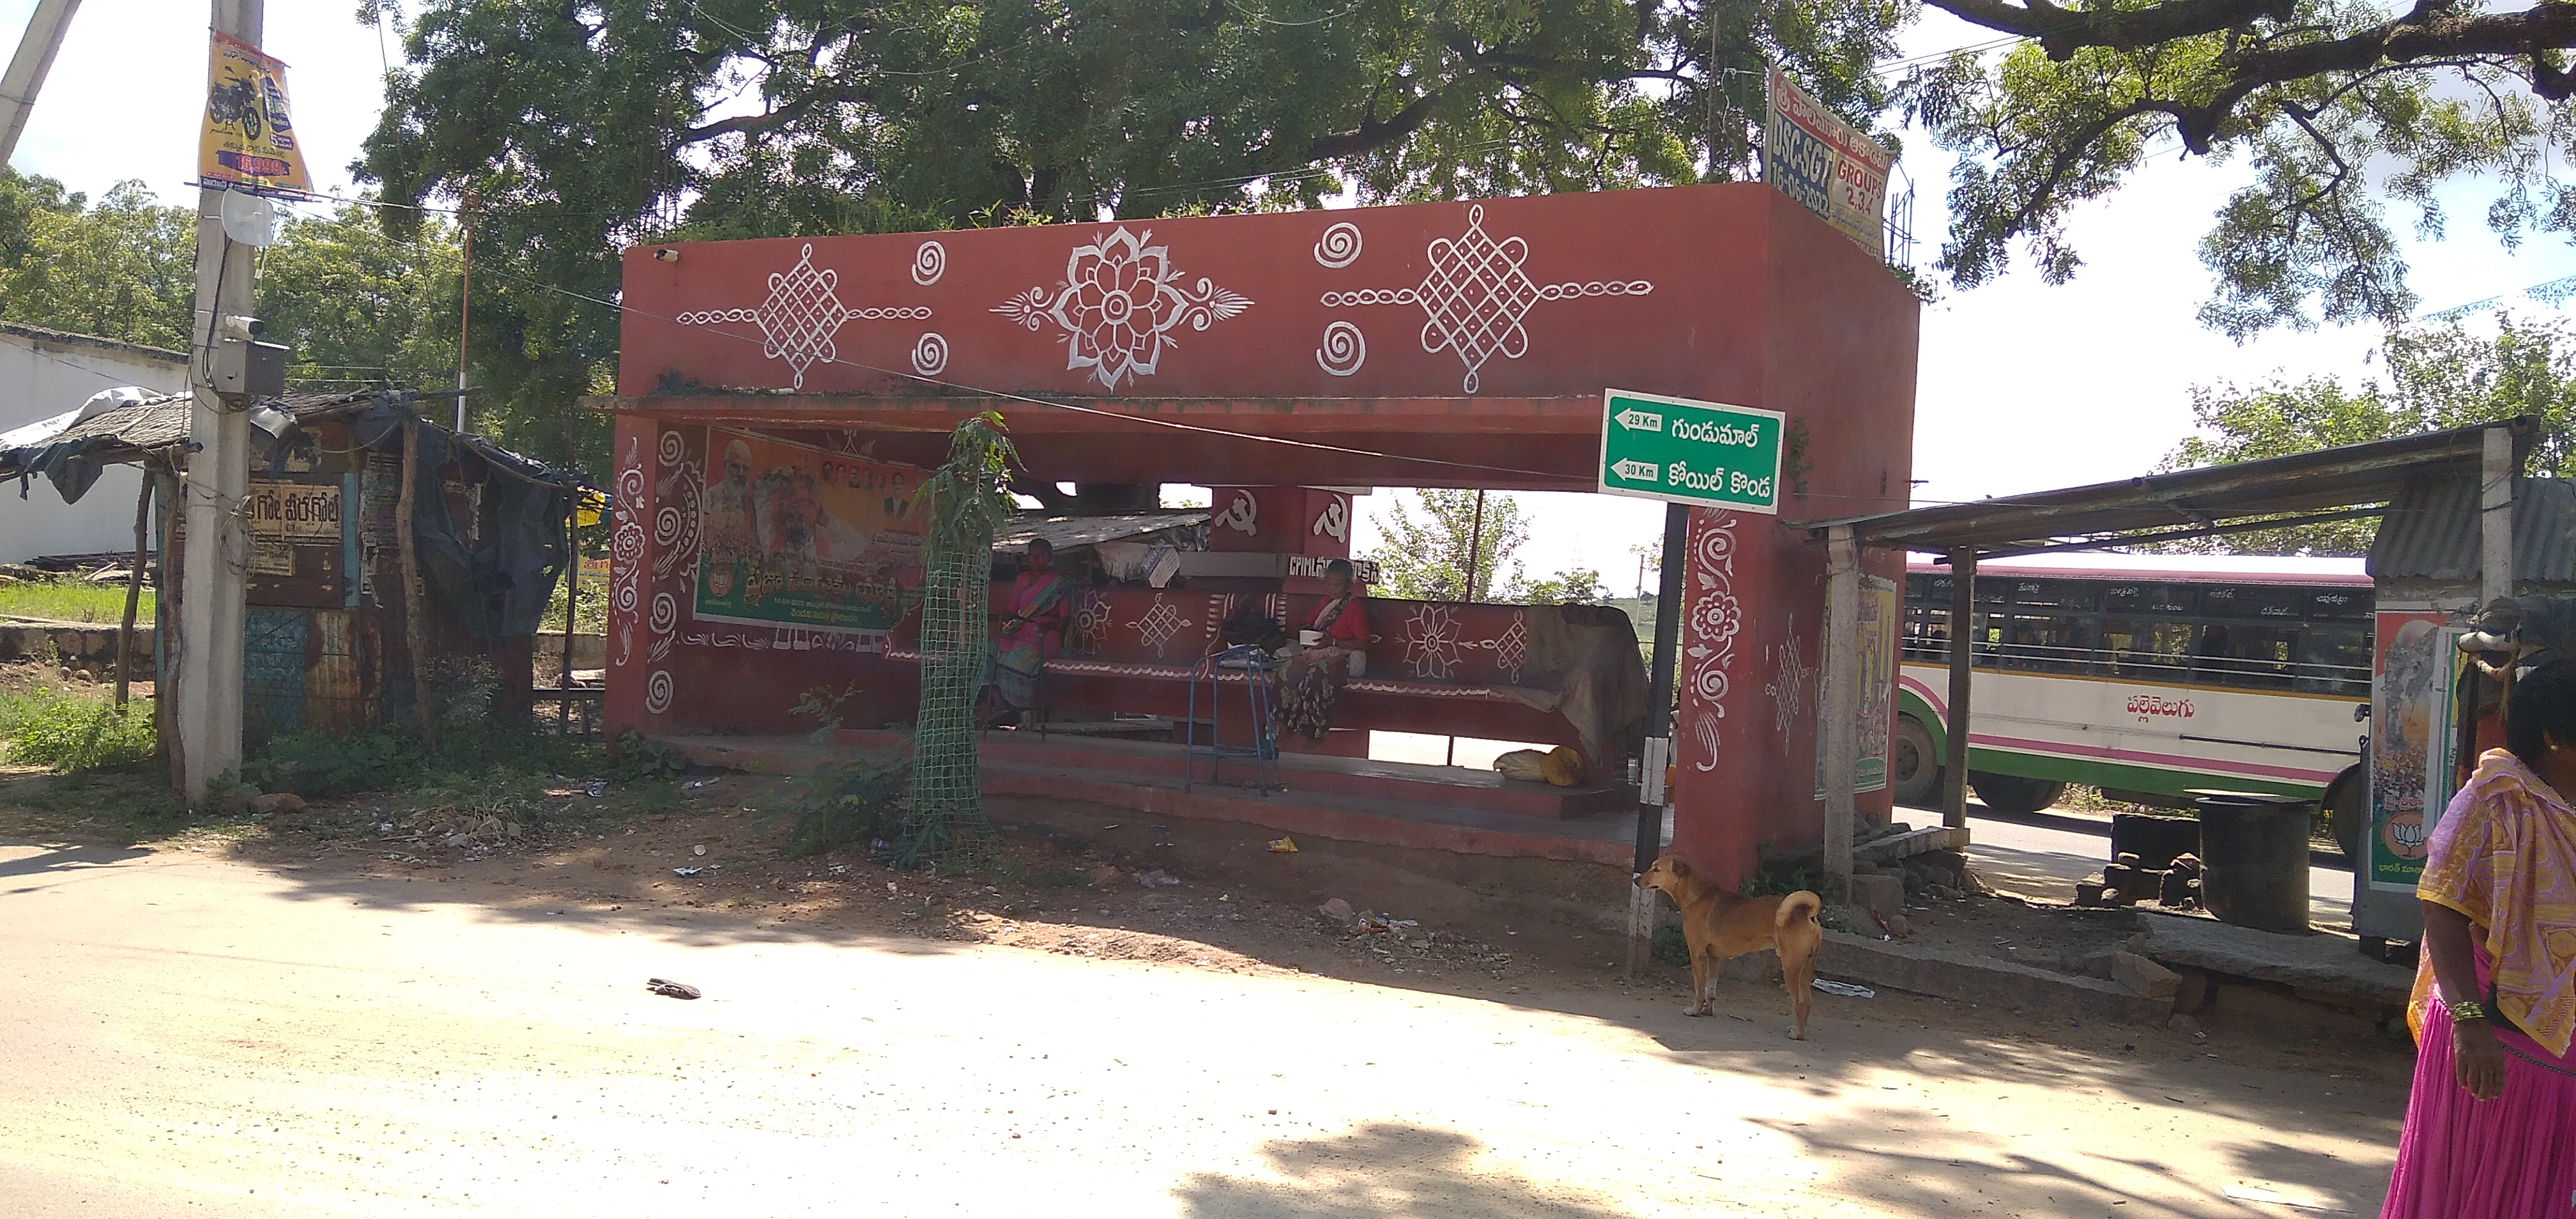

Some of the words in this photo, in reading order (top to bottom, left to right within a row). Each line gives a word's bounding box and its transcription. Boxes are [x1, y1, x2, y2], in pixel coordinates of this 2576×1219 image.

[1770, 77, 1793, 116] శ్ర
[1789, 93, 1851, 150] పాలమూరు
[1769, 109, 1838, 191] DSC-SGT
[1844, 131, 1891, 173] అకాడమి
[1836, 155, 1885, 203] GROUPS
[1626, 413, 1662, 432] 29Km
[1670, 416, 1761, 450] గుండుమాల్
[1622, 459, 1657, 479] 30Km
[1665, 456, 1728, 495] కోయిల్
[1726, 468, 1774, 501] కొండ
[253, 486, 284, 523] గోల
[279, 487, 342, 525] వీరగోల
[739, 561, 787, 613] ప్రజా
[782, 565, 855, 601] సంగ్రామ
[849, 575, 901, 624] యాత్ర